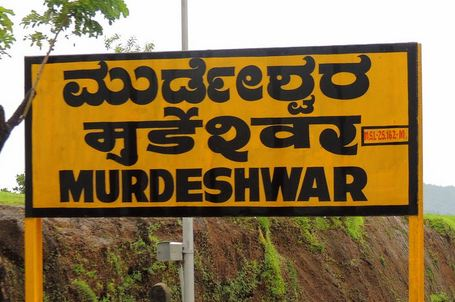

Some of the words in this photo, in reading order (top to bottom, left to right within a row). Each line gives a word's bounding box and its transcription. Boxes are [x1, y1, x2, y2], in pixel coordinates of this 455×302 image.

[58, 45, 372, 120] ಮುಡೇಶ್ವರ
[83, 99, 364, 167] मुर्डेश्वर
[56, 160, 373, 208] MURDESHWAR